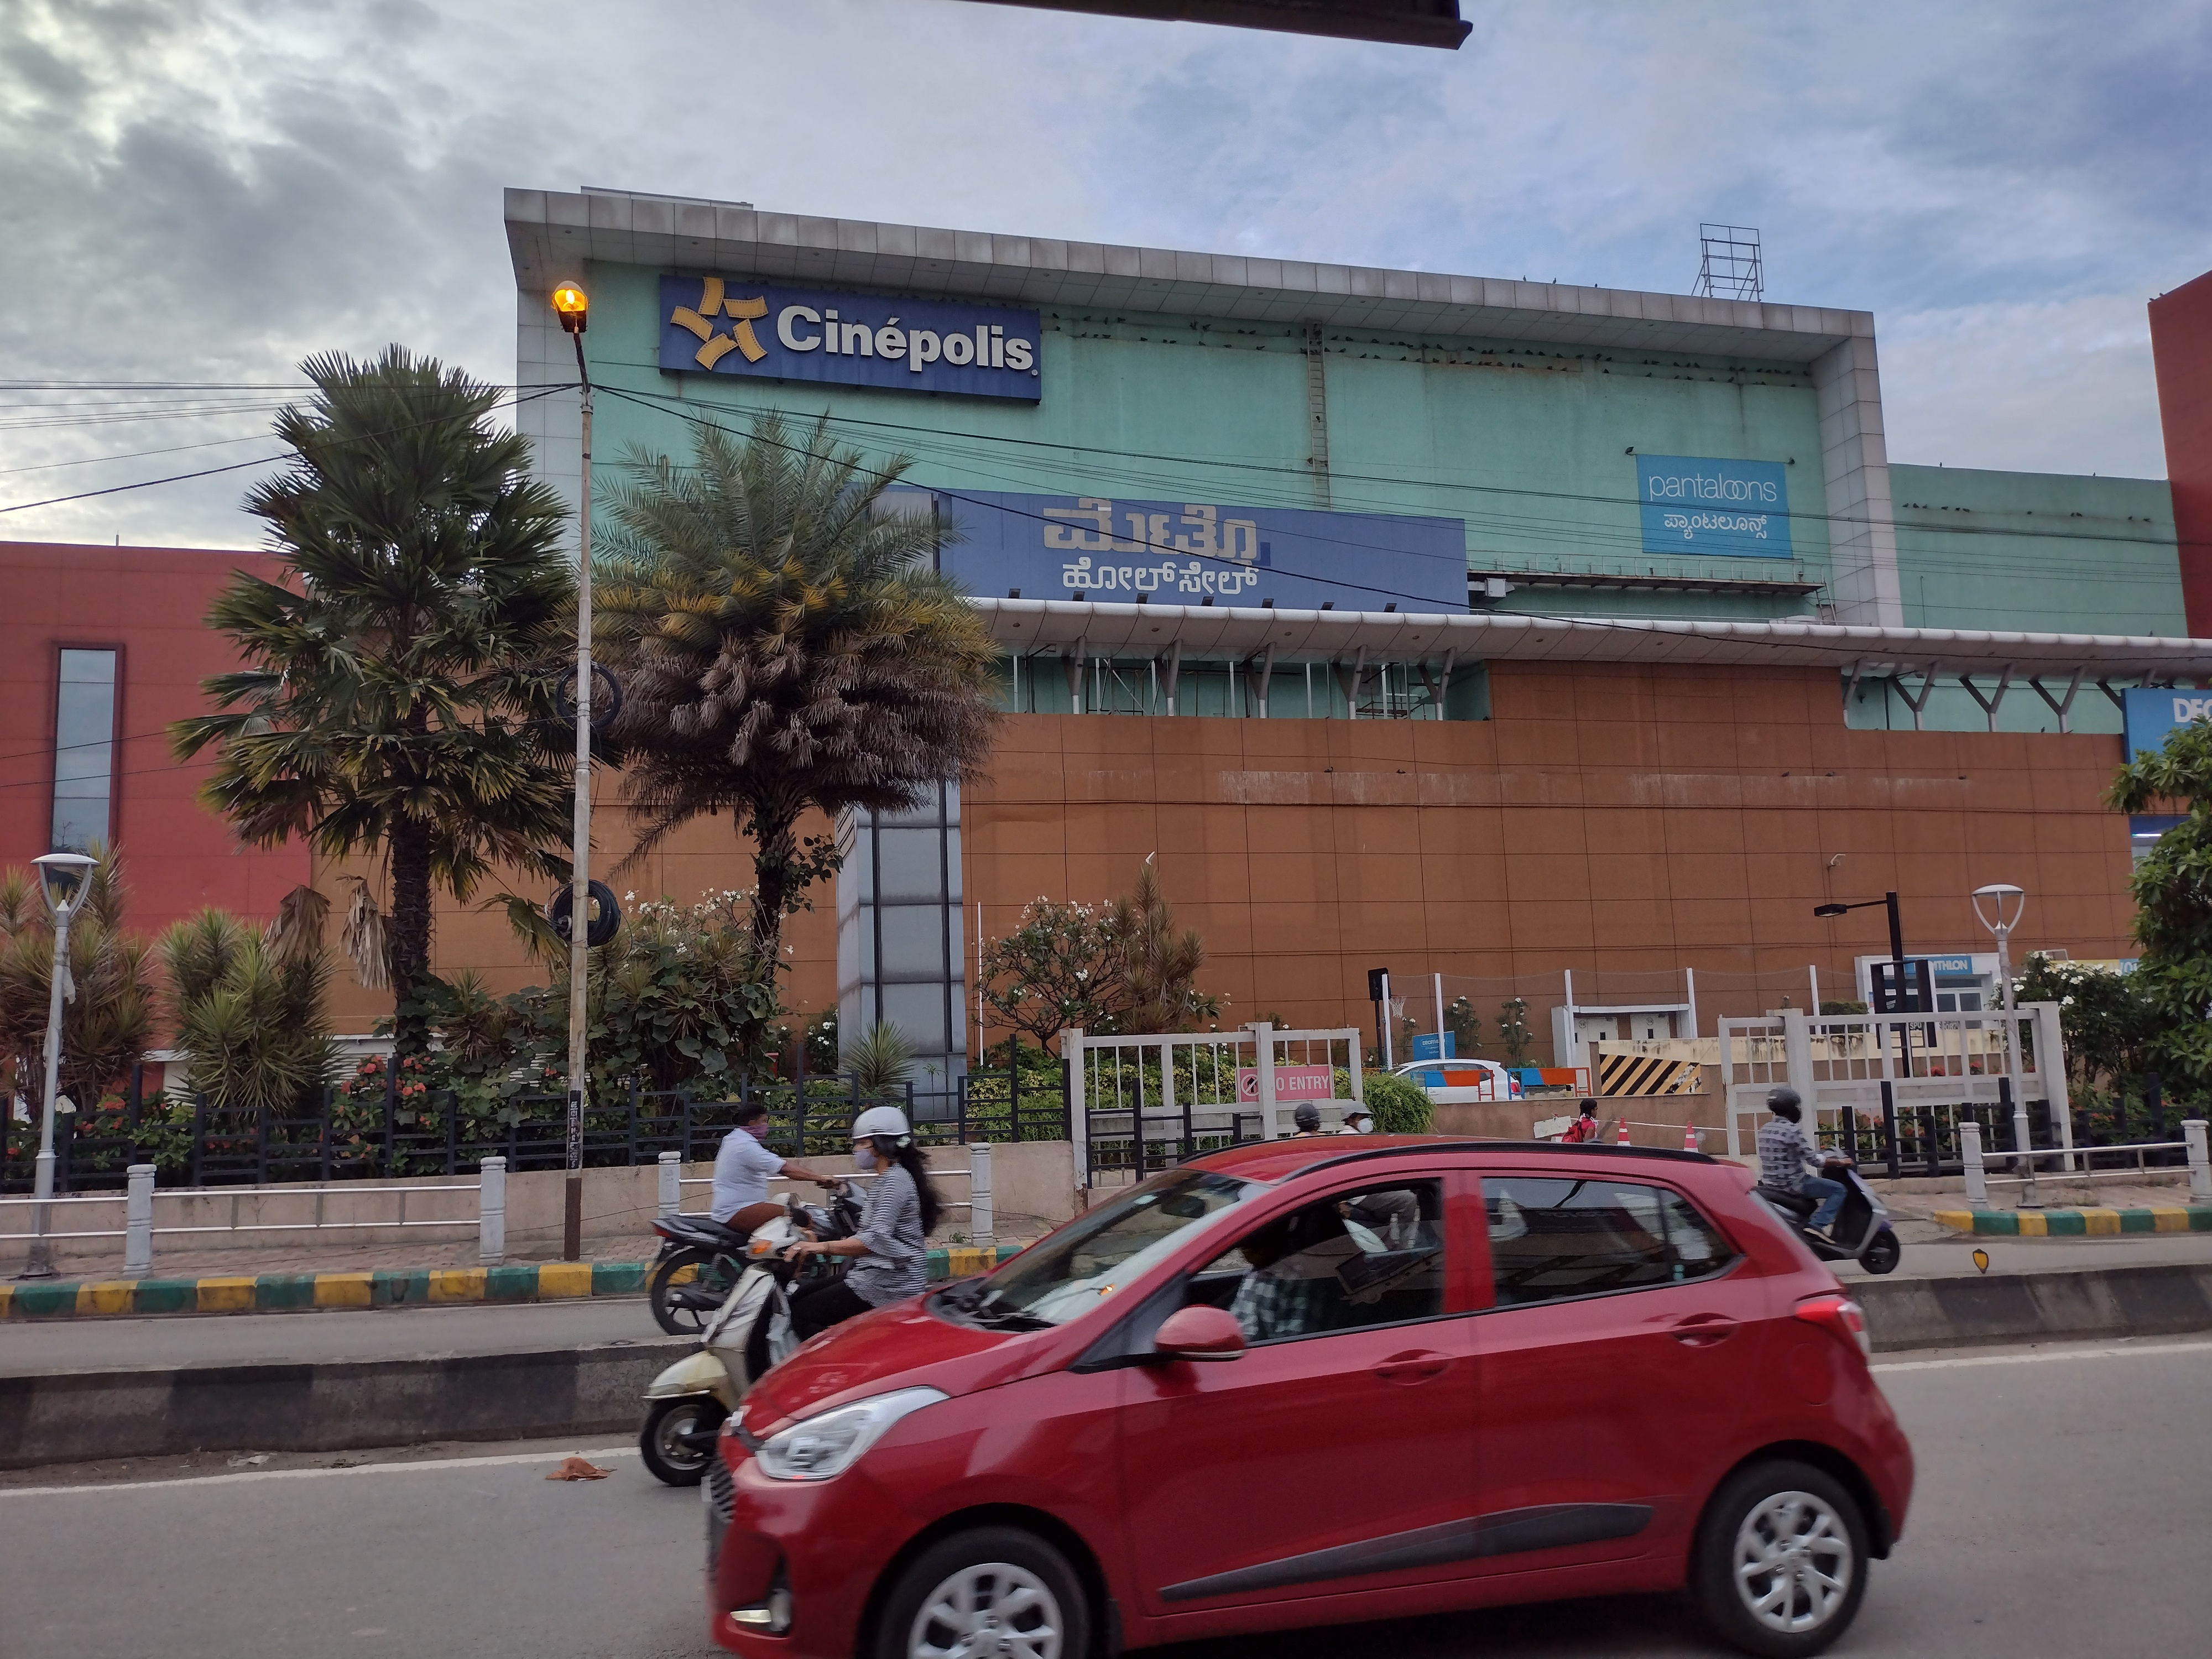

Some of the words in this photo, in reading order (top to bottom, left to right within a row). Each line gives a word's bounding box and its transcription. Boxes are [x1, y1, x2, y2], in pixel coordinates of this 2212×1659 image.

[770, 296, 1044, 383] Cinepolis
[1647, 467, 1783, 505] pantaloons
[1039, 492, 1260, 567] ಮಟೊ
[1661, 509, 1771, 542] ಪ್ಯಾಂಟಲೂನ್ಸ್
[1057, 552, 1259, 599] ಹೋಲ್‌ಸೇಲ್